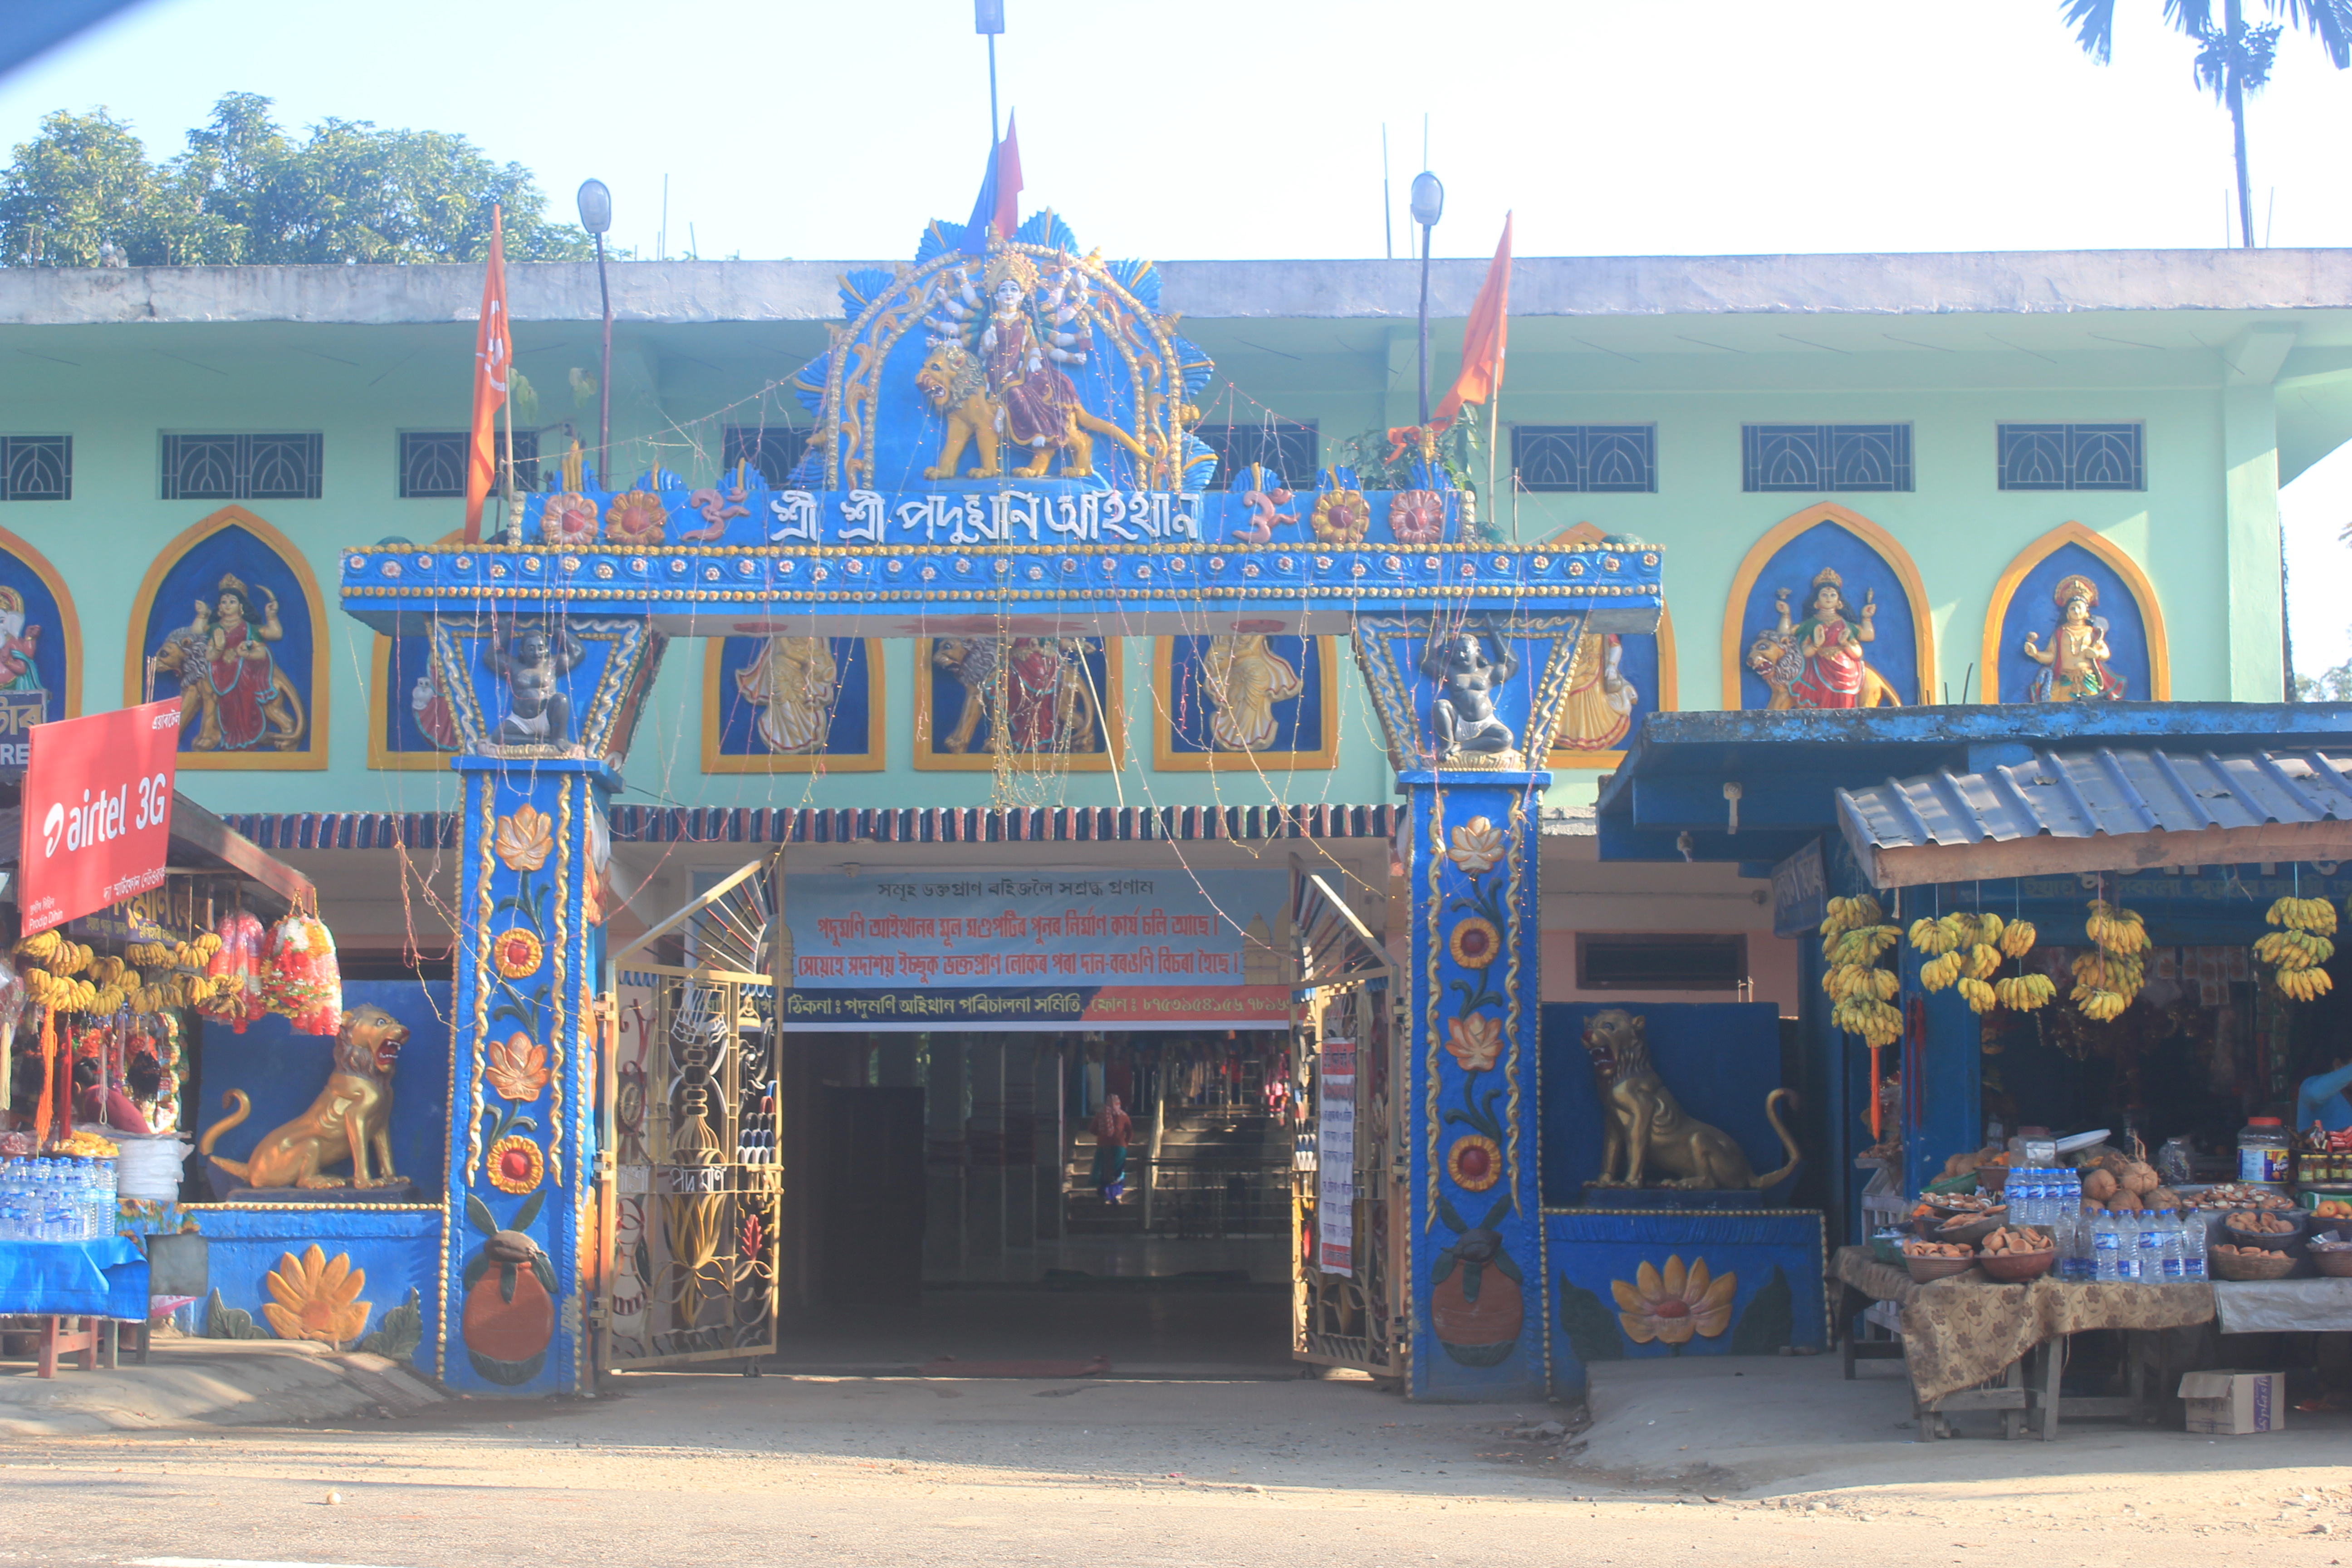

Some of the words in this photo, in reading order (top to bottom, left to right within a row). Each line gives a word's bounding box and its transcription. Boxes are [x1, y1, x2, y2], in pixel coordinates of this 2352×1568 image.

[765, 484, 826, 546] শ্রী
[832, 483, 889, 548] শ্রী
[895, 484, 1207, 550] পদুখান আইয়ান
[34, 780, 128, 858] airtel
[99, 870, 146, 906] দ্যা স্মার্টফোন
[140, 862, 169, 893] নেটওর্যক
[874, 878, 920, 904] সমুহ
[922, 878, 984, 900] উক্ত প্রাণ
[985, 874, 1054, 901] ৰাইজলৈ
[1057, 878, 1107, 900] সশ্ৰদ্ধ
[1106, 876, 1155, 897] প্রণাম
[815, 908, 868, 950] পদুমনি
[868, 910, 938, 942] আইথানৰ
[936, 913, 965, 951] মূল
[964, 908, 1030, 941] মণ্ডপটিৰ
[1028, 913, 1063, 948] পুনৰ
[1059, 901, 1109, 939] নিৰ্মাণ
[1108, 902, 1142, 938] কাৰ্য
[1137, 905, 1169, 939] চলি
[1168, 910, 1214, 939] আছে
[797, 951, 850, 980] সেয়েহে
[847, 953, 898, 980] সদাশয়
[891, 945, 942, 985] ইচছুক
[941, 948, 1004, 978] ভক্তপ্ৰাণ
[1003, 951, 1050, 978] লোকৰ
[1049, 949, 1080, 976] পৰা
[1079, 948, 1109, 977] দান
[1107, 943, 1157, 977] বৰঙণি
[1151, 942, 1198, 975] বিচৰা
[1190, 945, 1233, 976] হৈাছ
[784, 991, 835, 1017] ঠিকনা
[844, 989, 898, 1022] গদুমণি
[897, 993, 956, 1018] অহিথান
[956, 990, 1034, 1017] পৰিচালনা
[1033, 990, 1083, 1015] সমিতি
[1088, 993, 1129, 1015] ফোন
[1138, 990, 1246, 1016] ৮৭৫৩৯৫৪১৫৬
[1247, 994, 1291, 1014] ৭৮১৬